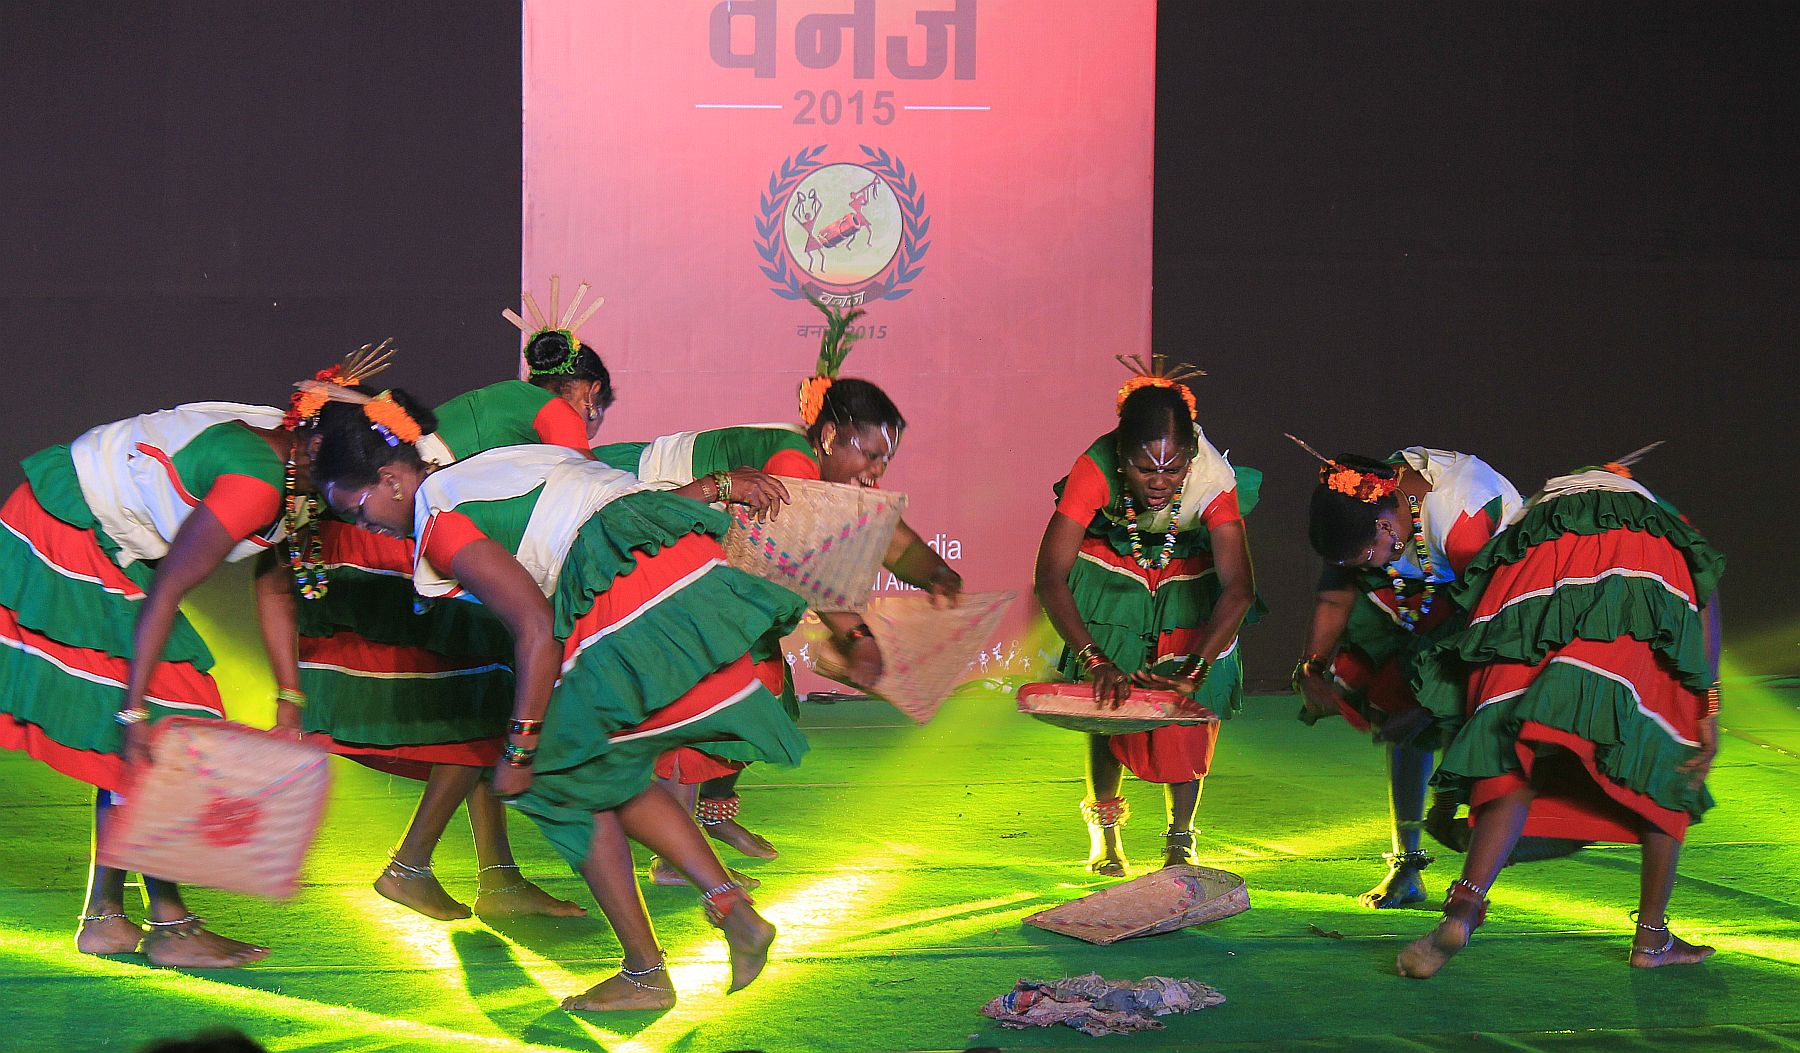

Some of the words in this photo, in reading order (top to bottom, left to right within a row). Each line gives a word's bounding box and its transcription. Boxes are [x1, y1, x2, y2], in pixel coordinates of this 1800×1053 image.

[704, 3, 977, 85] वनज
[789, 85, 899, 132] 2015
[816, 286, 865, 311] वनज
[797, 323, 839, 339] बना